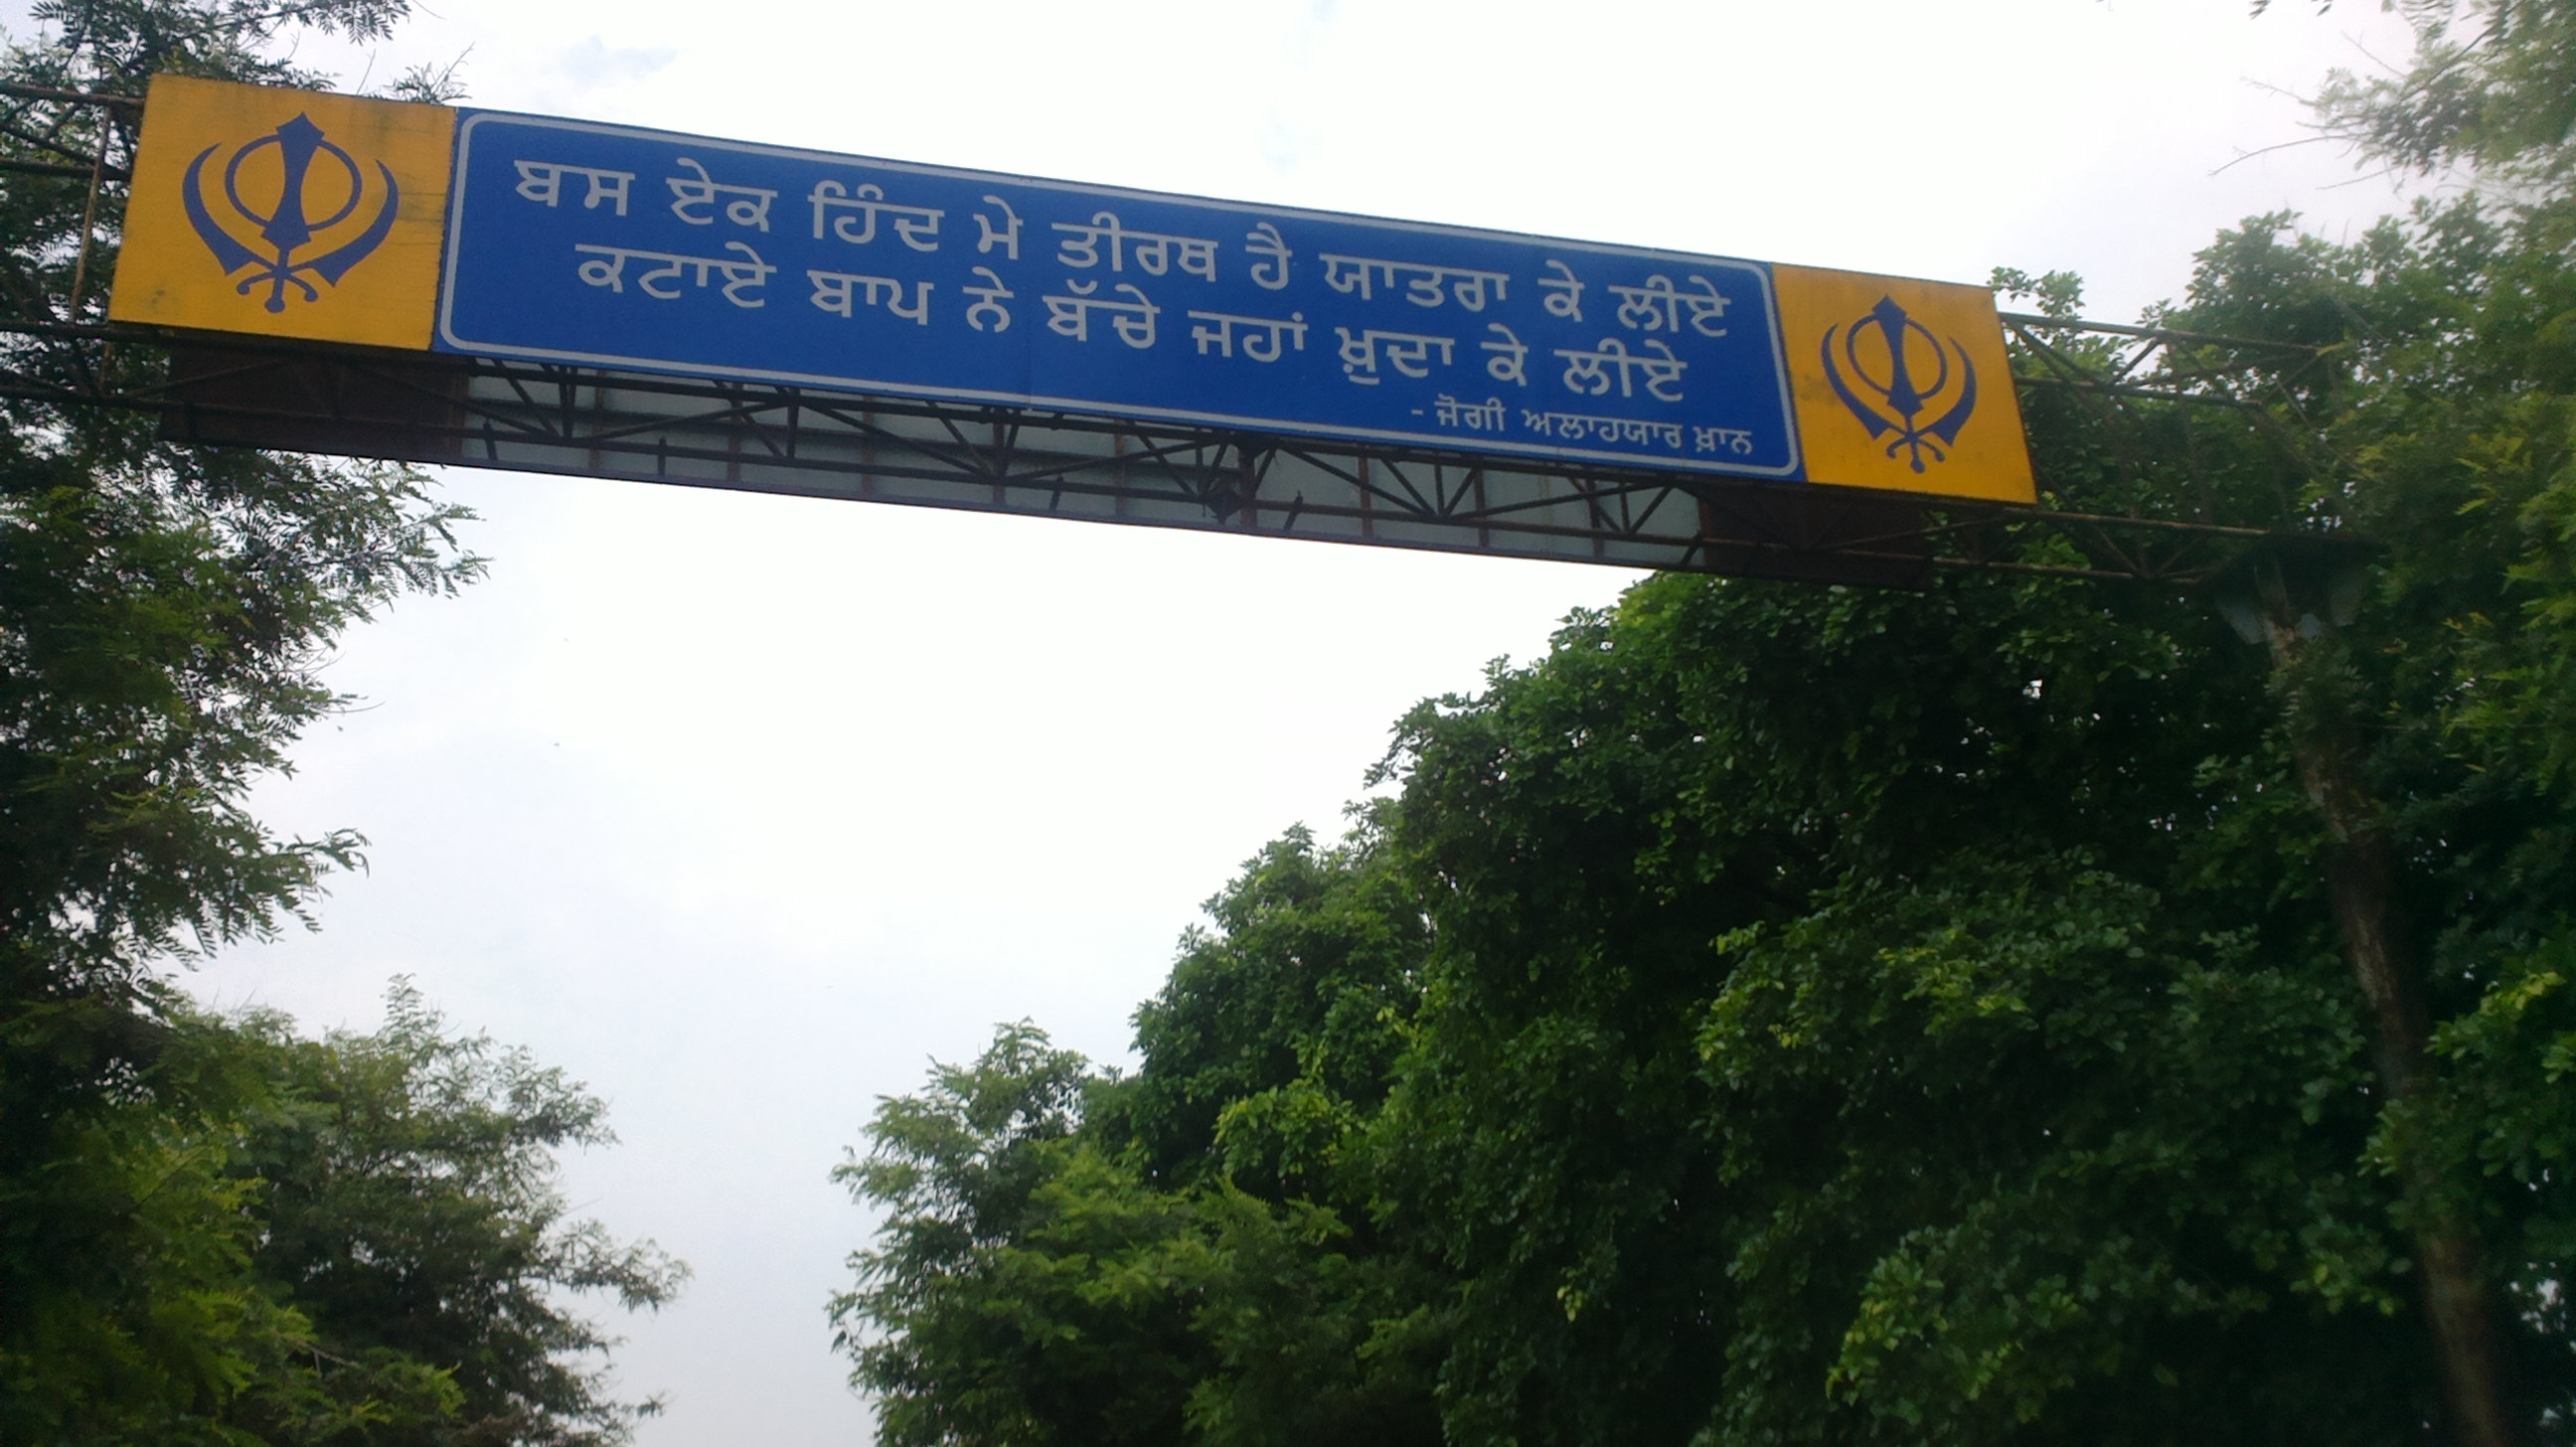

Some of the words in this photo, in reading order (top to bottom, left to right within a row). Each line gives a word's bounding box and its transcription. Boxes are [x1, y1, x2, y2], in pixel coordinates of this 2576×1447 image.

[493, 153, 644, 230] ਬਸ
[560, 235, 786, 316] ਕਟਾਏ
[658, 150, 789, 241] ਏਕ
[799, 262, 942, 335] ਬਾਪ
[797, 172, 953, 266] ਹਿੰਦ
[950, 260, 1027, 345] ਨੇ
[959, 181, 1034, 267] ਮੇ
[1028, 273, 1171, 364] ਬੱਚੇ
[1041, 199, 1227, 293] ਤੀਰਥ
[1176, 299, 1324, 377] ਜਹਾ
[1231, 214, 1304, 301] ਹੈ
[1321, 320, 1467, 396] ਖ਼ੁਦਾ
[1311, 242, 1519, 320] ਯਾਤਰਾ
[1427, 385, 1517, 436] ਜੋਗੀ
[1469, 315, 1543, 396] ਕੇ
[1529, 250, 1594, 330] ਕੇ
[1513, 402, 1688, 453] ਅਲਾਹਯਾਰ
[1544, 334, 1703, 412] ਲੀਏ
[1601, 259, 1741, 349] ਲੀਏ
[1688, 415, 1759, 463] ਖ਼ਾਨ